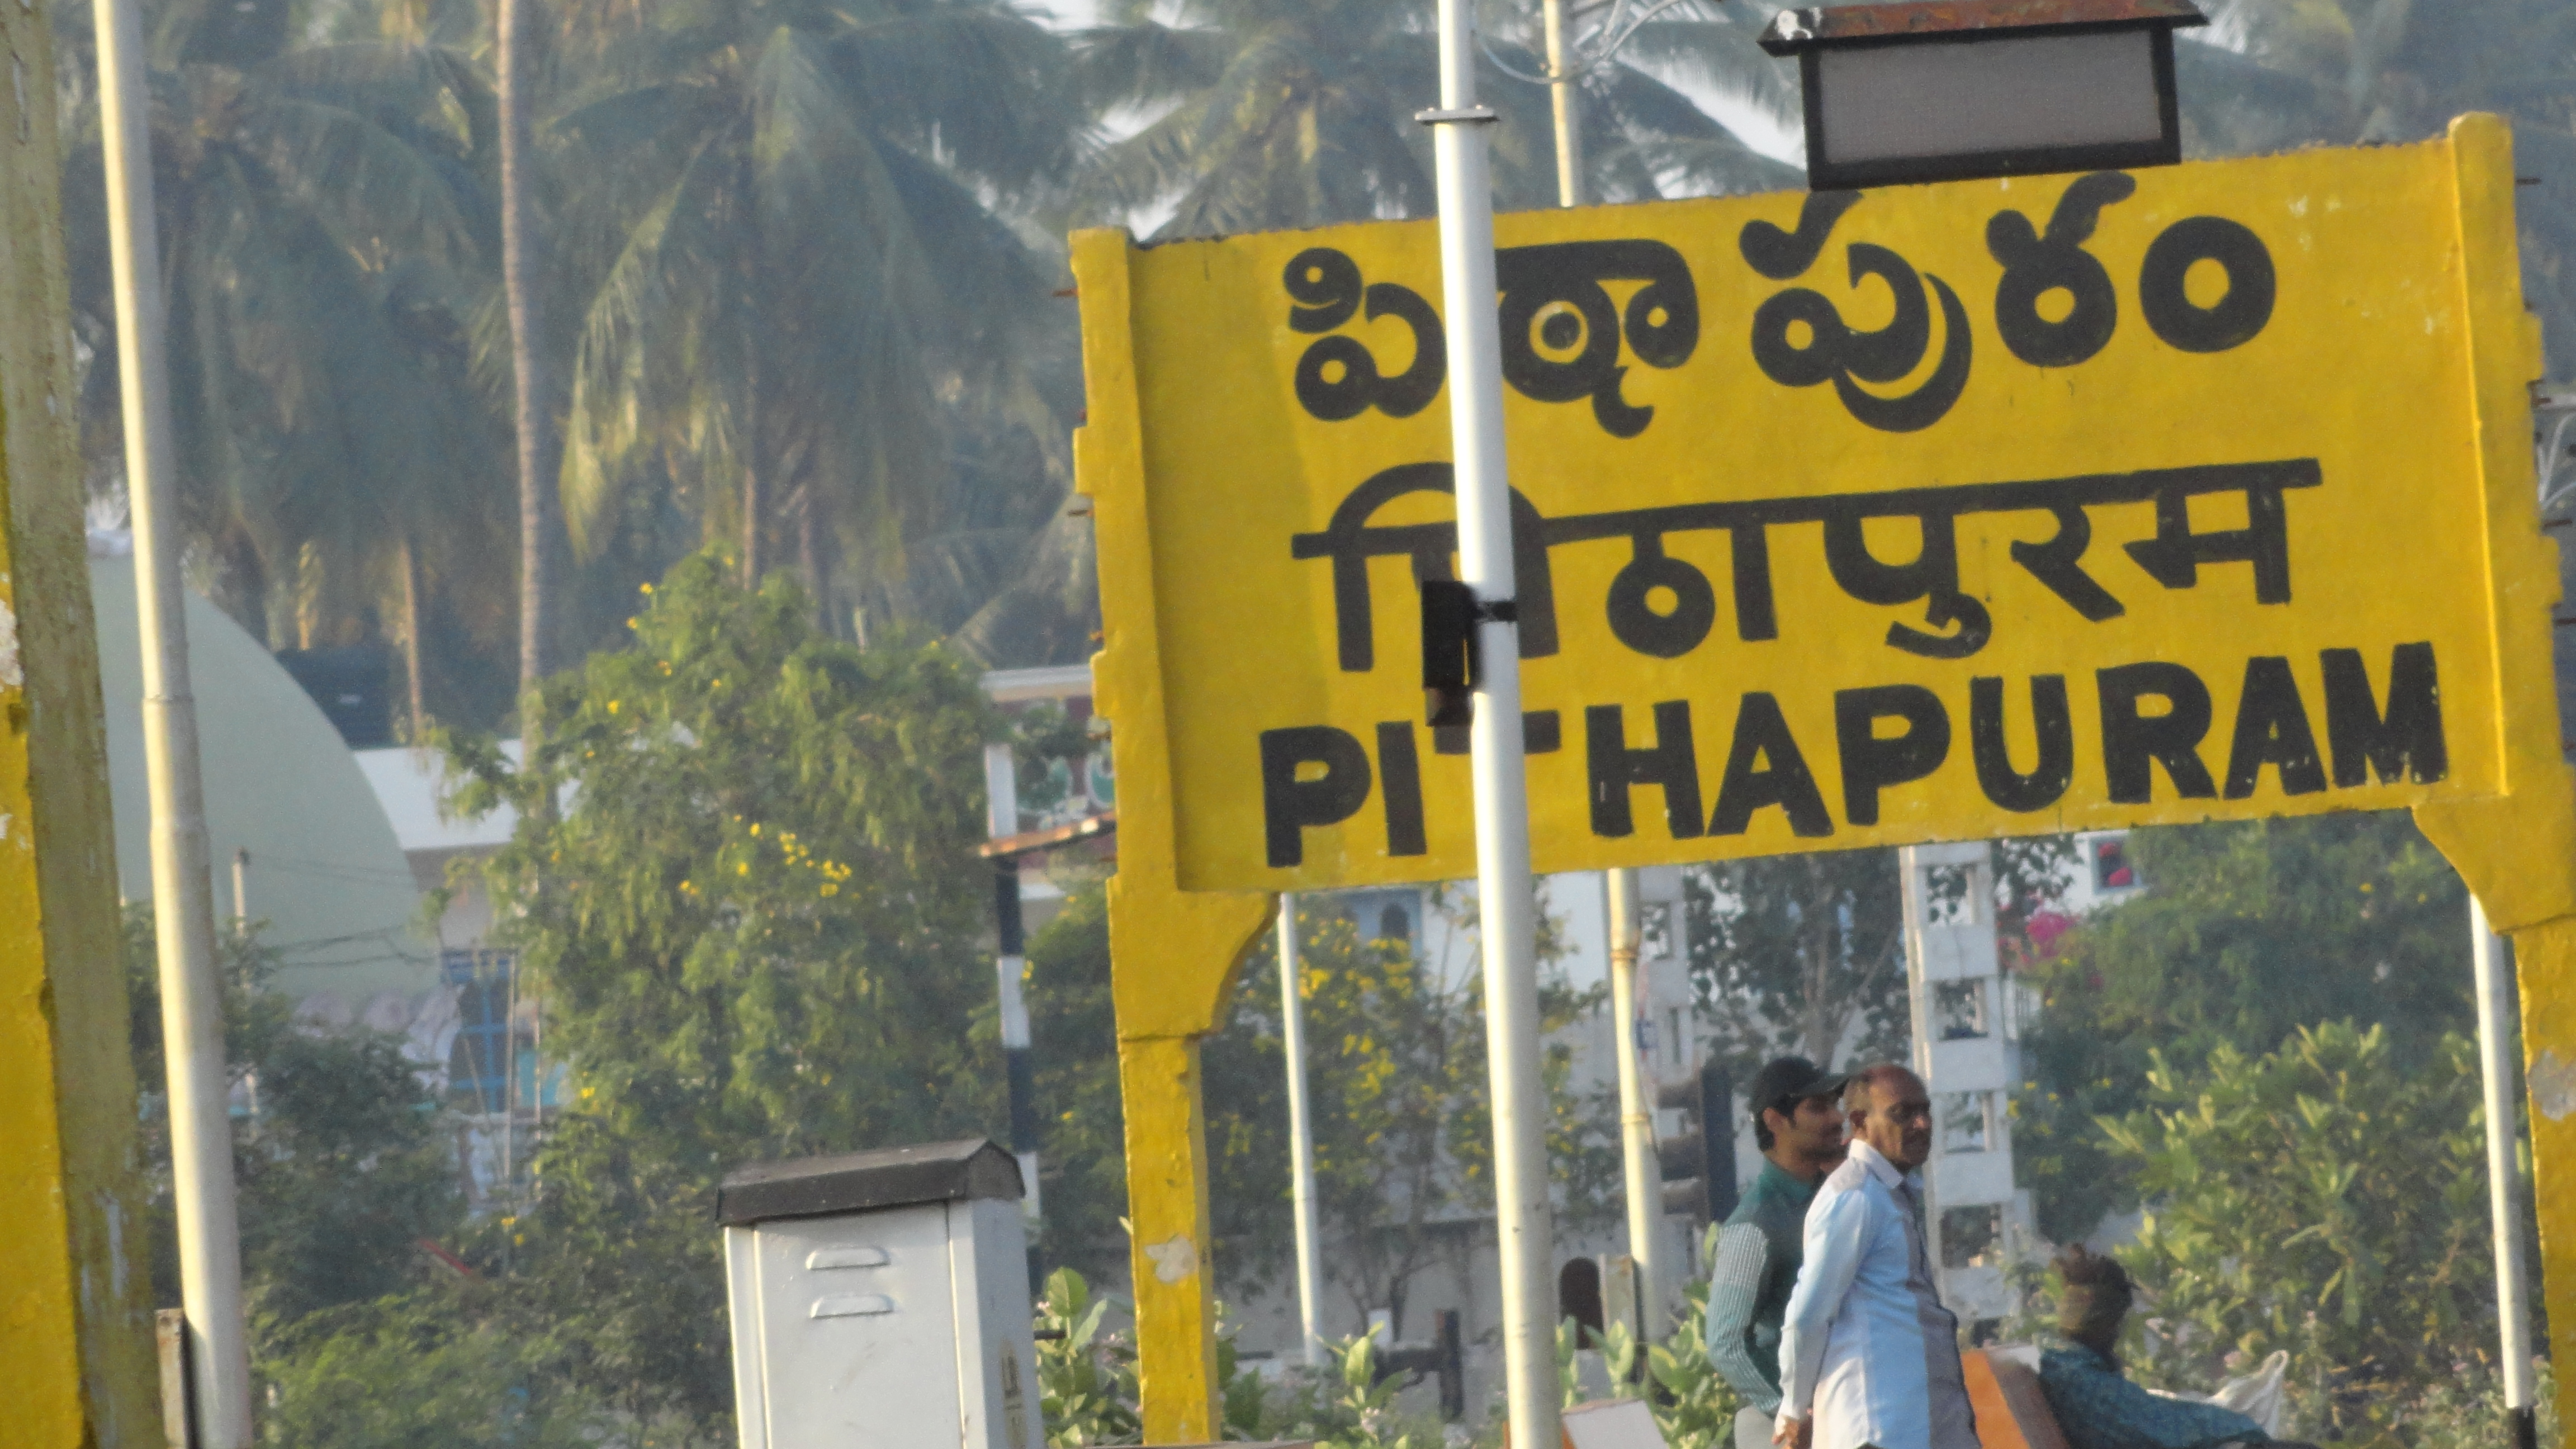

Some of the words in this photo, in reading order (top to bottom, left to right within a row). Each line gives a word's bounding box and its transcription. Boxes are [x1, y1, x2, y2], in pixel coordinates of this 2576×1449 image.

[1267, 162, 2283, 445] పిఠాపురం
[1286, 452, 2330, 683] पिठापुरम
[1251, 634, 2453, 872] PITHAPURAM